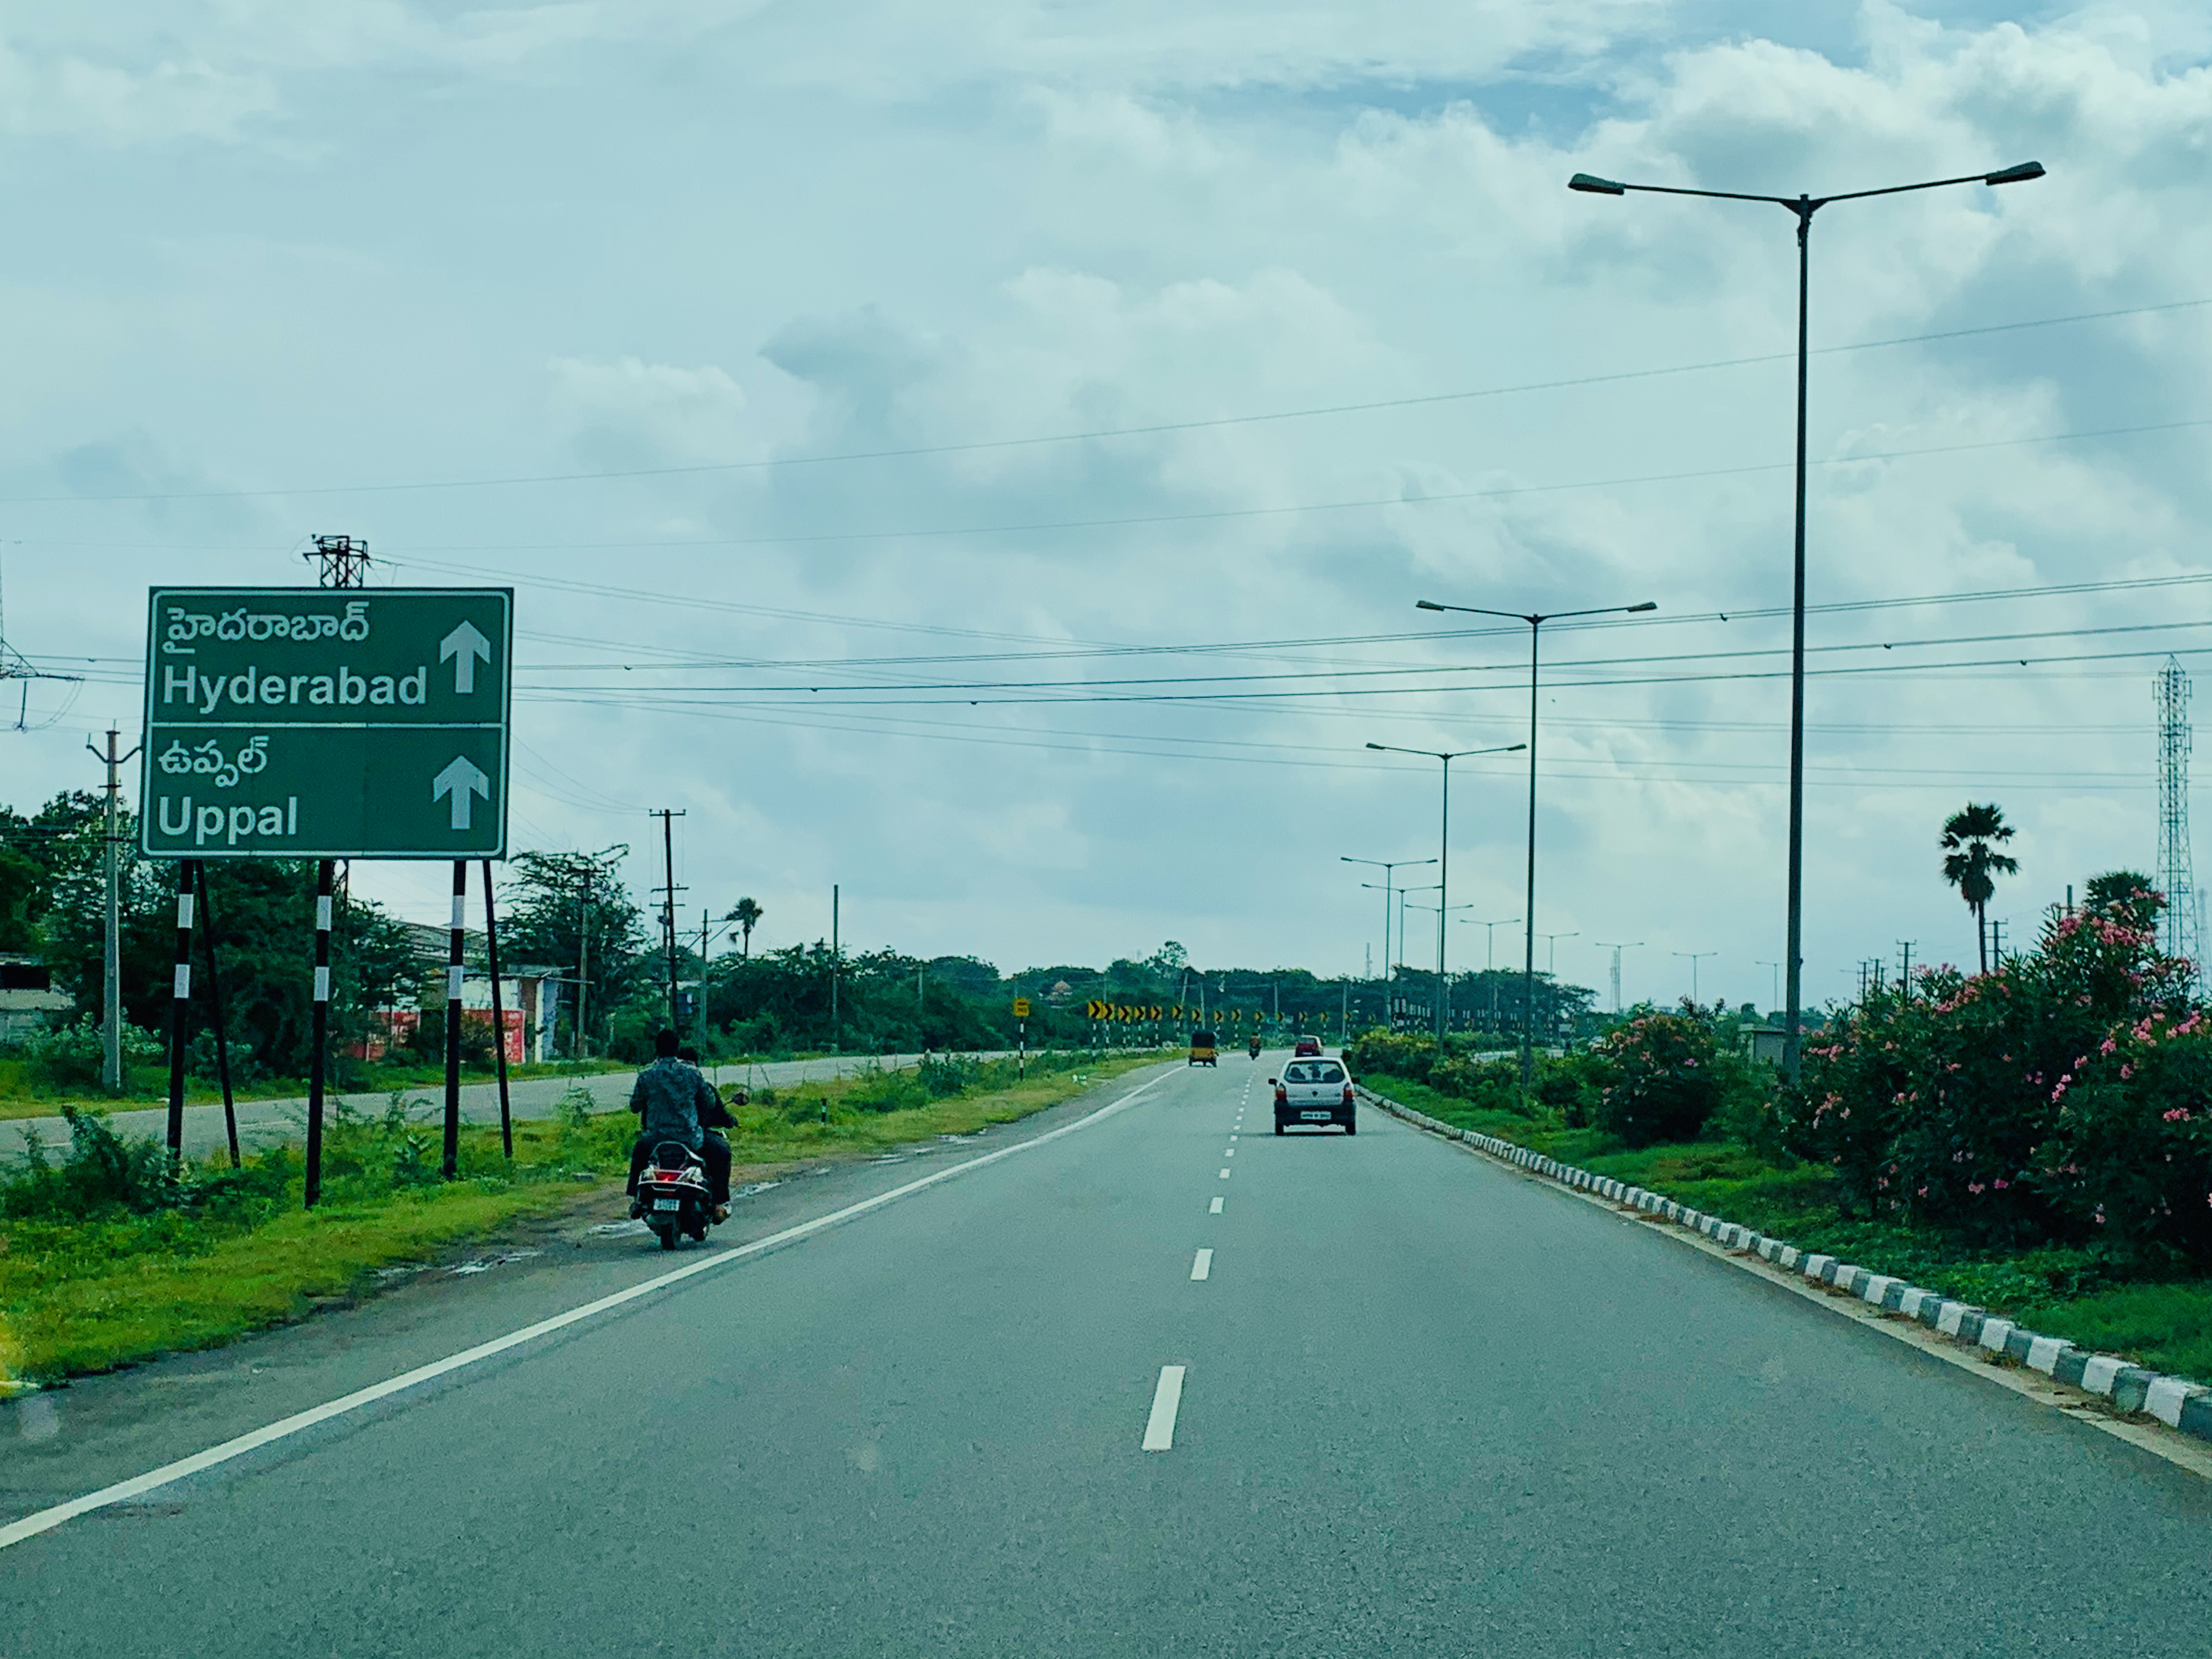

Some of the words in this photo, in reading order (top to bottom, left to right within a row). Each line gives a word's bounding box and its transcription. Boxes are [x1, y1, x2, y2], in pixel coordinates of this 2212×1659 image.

[157, 598, 373, 658] హైదరాబాద్
[162, 658, 429, 719] Hyderabad
[154, 733, 274, 792] ఉప్పల్
[156, 793, 300, 850] Uppal